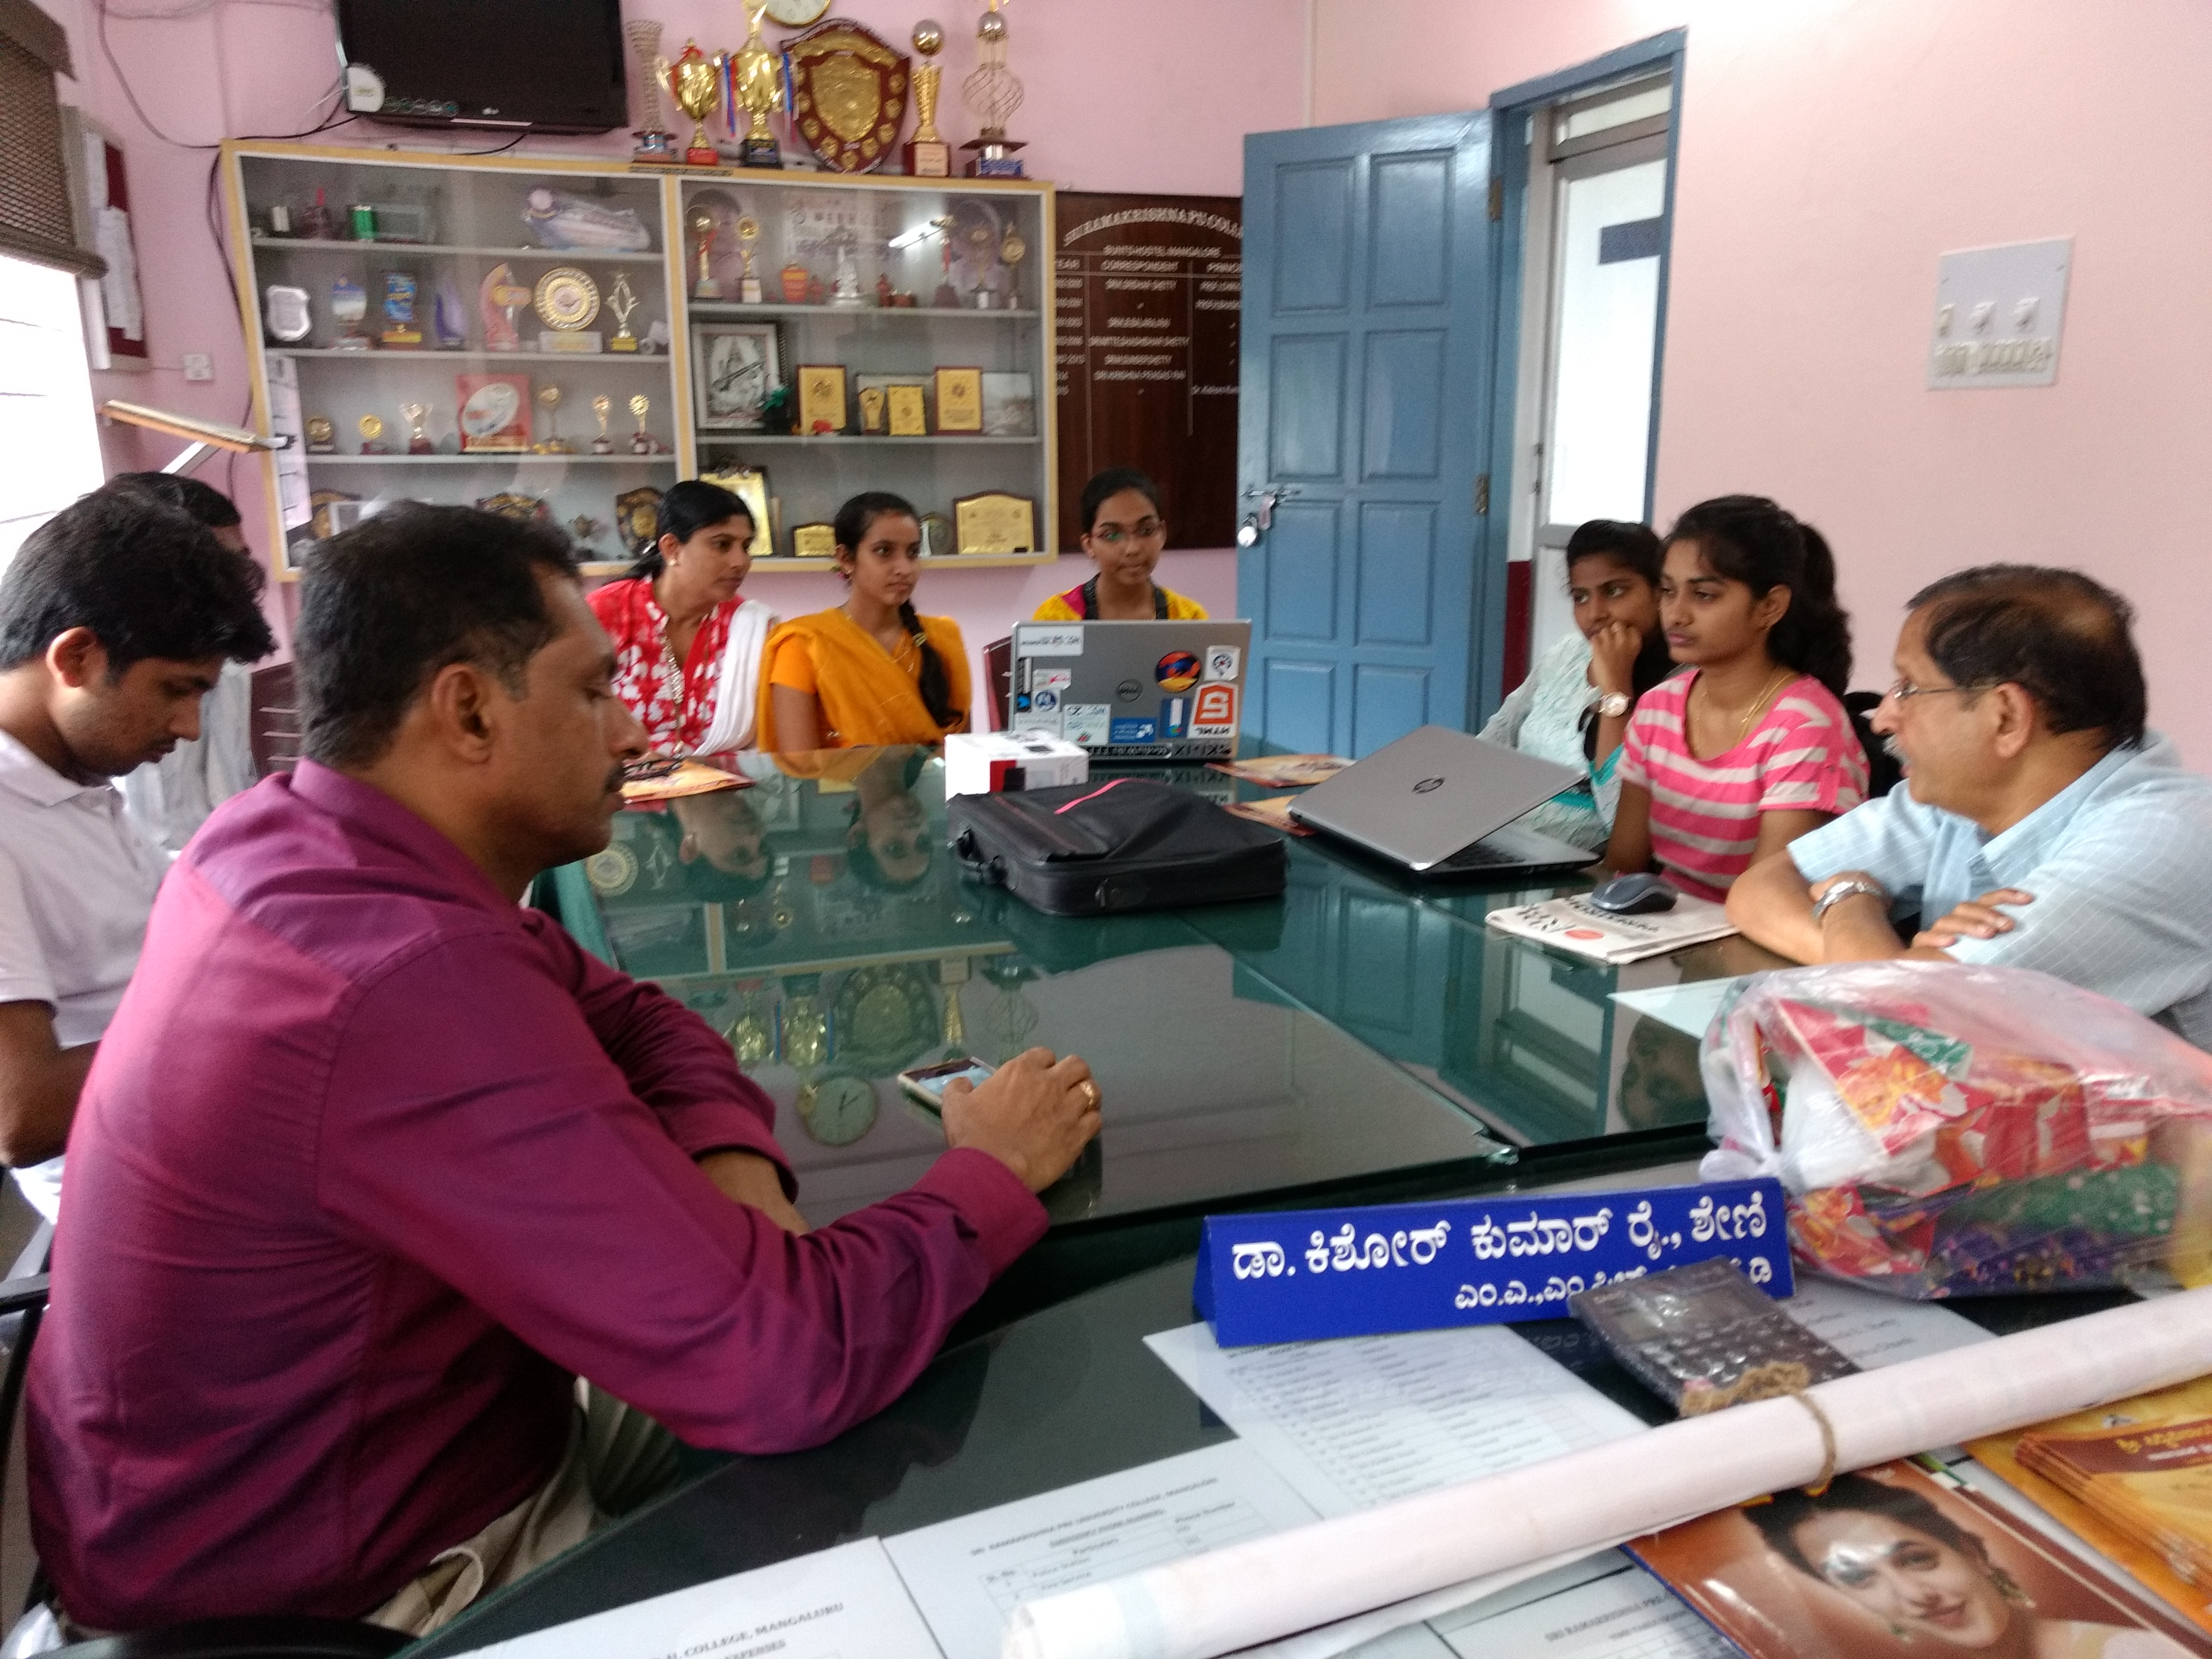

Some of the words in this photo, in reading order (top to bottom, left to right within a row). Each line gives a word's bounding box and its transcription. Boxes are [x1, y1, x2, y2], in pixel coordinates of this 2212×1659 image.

[1220, 1234, 1305, 1284] ಡಾ.
[1298, 1216, 1456, 1279] ಕಿಶೋರ್
[1464, 1206, 1615, 1264] ಕುಮಾರ್
[1613, 1194, 1687, 1266] ರೈ.,
[1679, 1184, 1771, 1250] ಶೇಣಿ
[1446, 1271, 1592, 1315] ಎಂ.ಎ.,ಎಂ